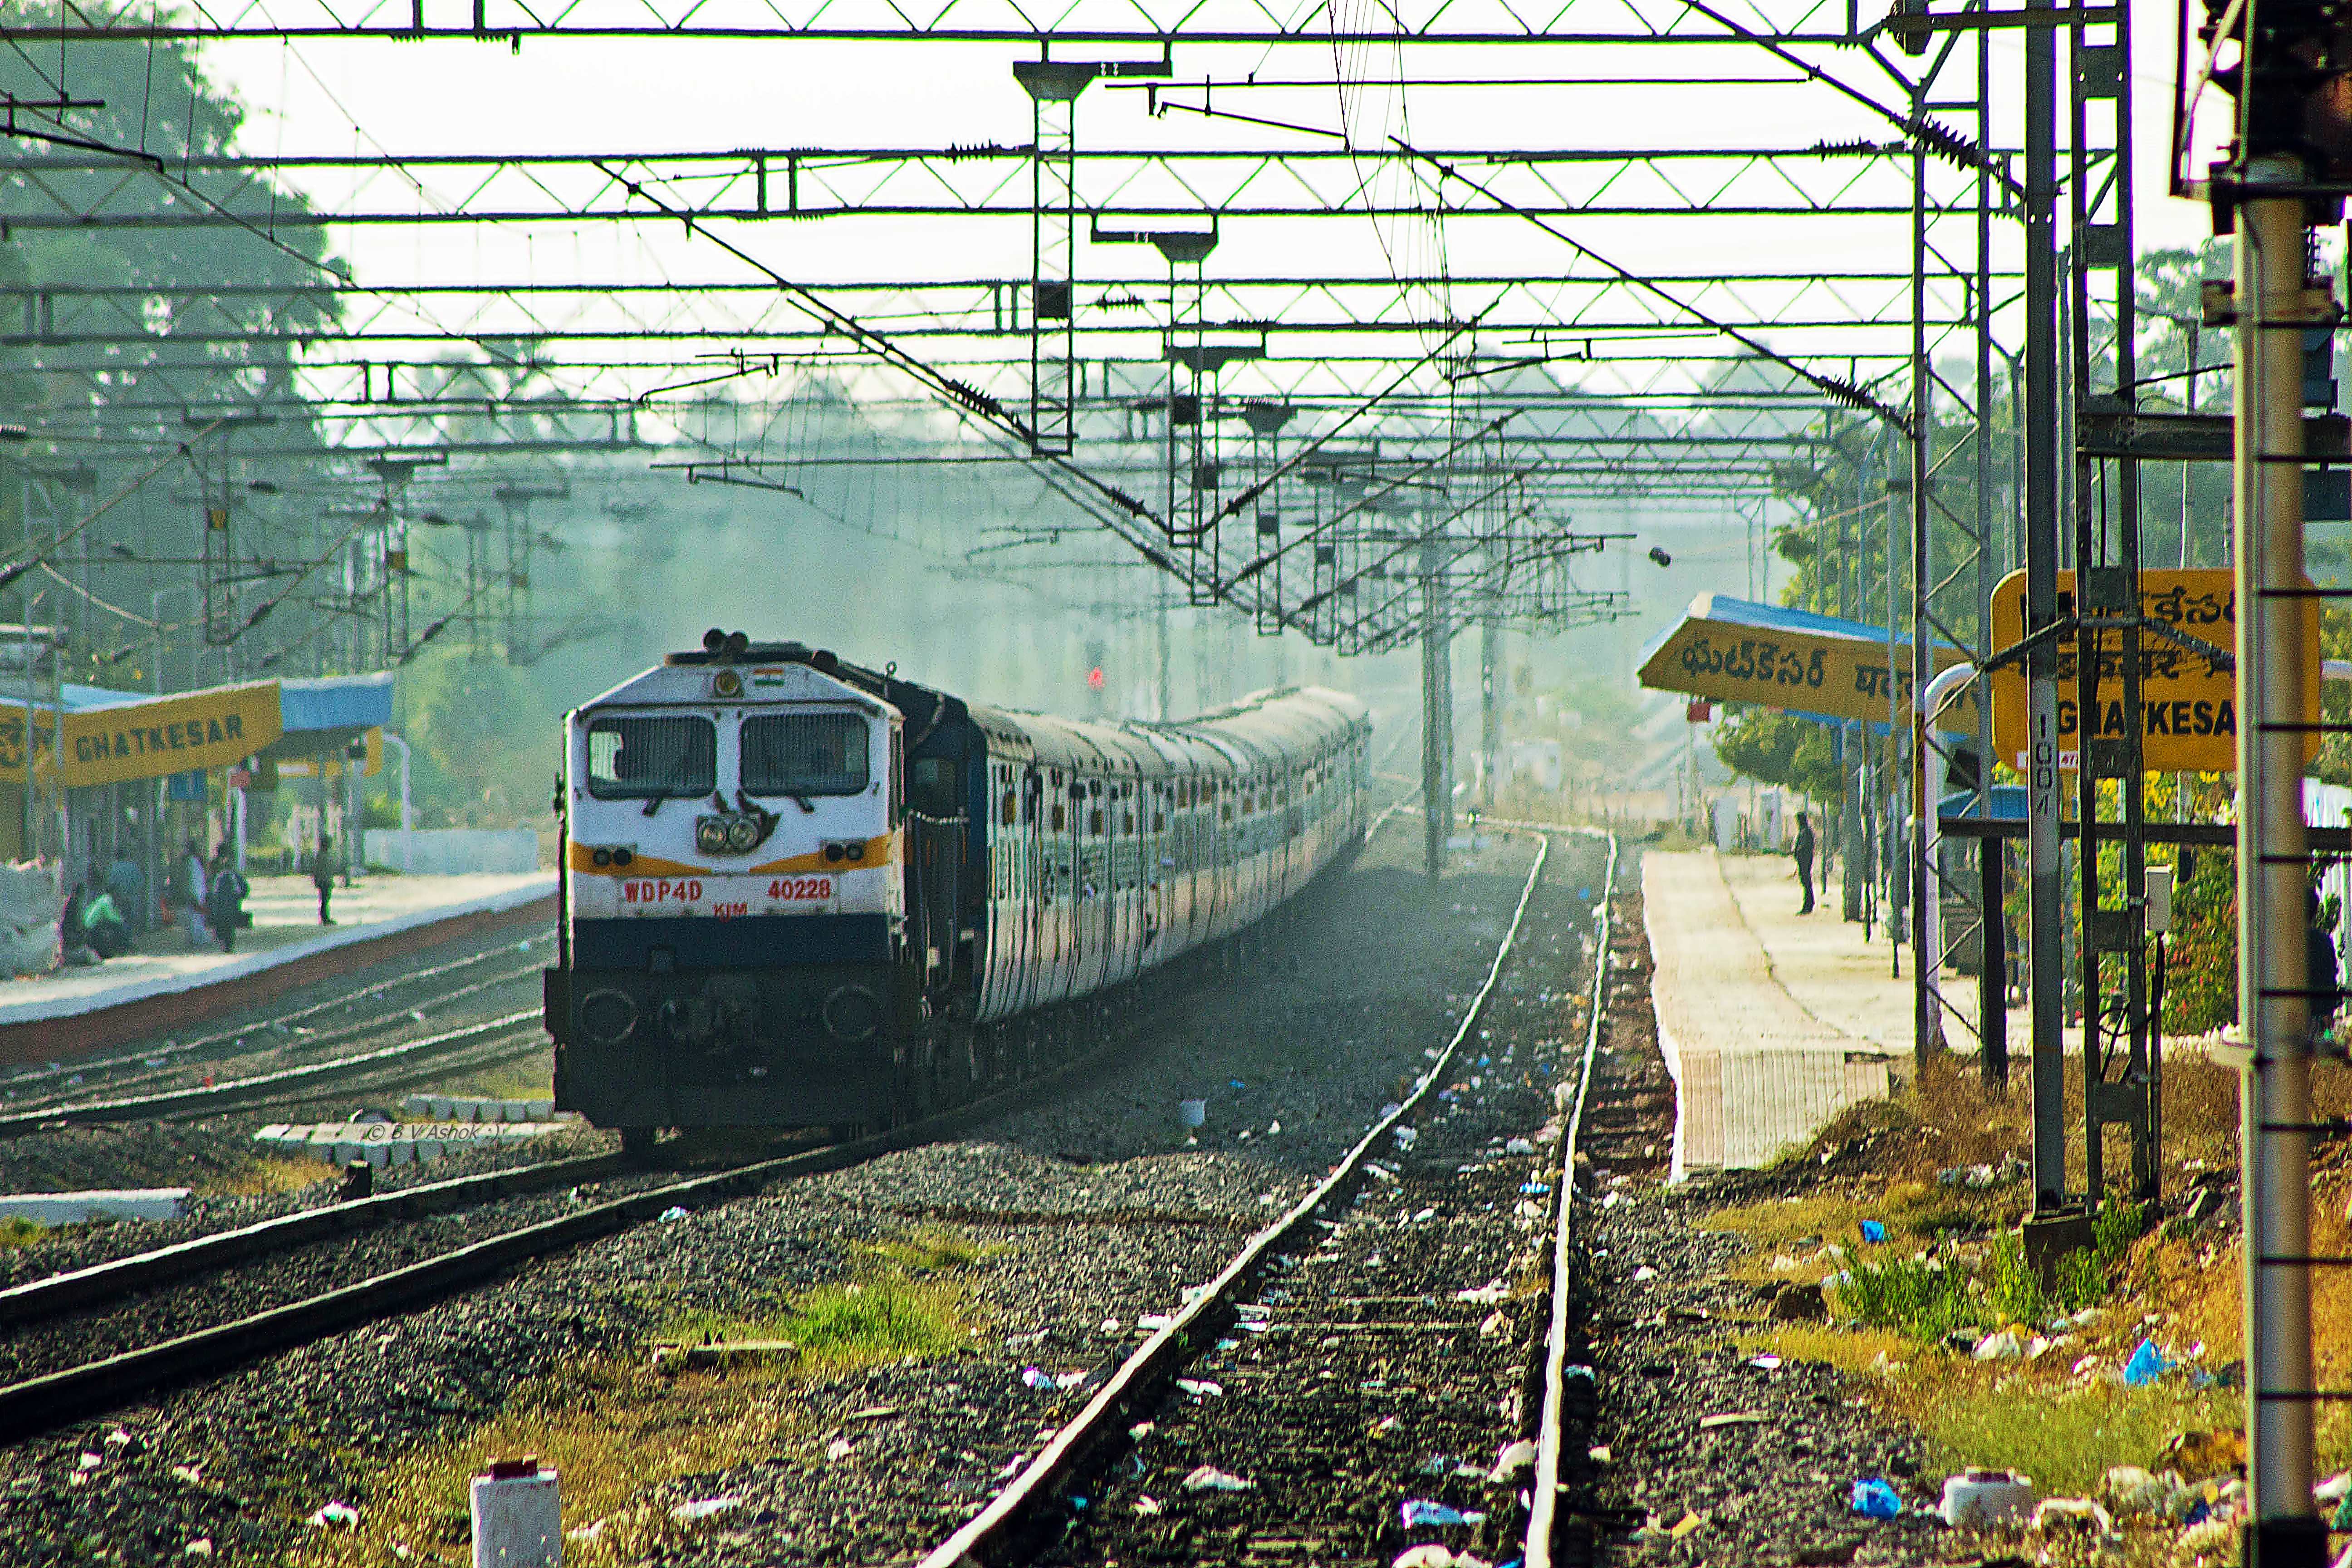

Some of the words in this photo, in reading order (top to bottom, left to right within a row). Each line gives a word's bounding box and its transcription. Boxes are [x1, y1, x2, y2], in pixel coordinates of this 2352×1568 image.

[1677, 633, 1830, 692] ఘటికసర్
[73, 710, 245, 767] GHATKESAR
[622, 873, 704, 912] WDP4D
[764, 873, 836, 906] 40228
[711, 900, 753, 925] KJM